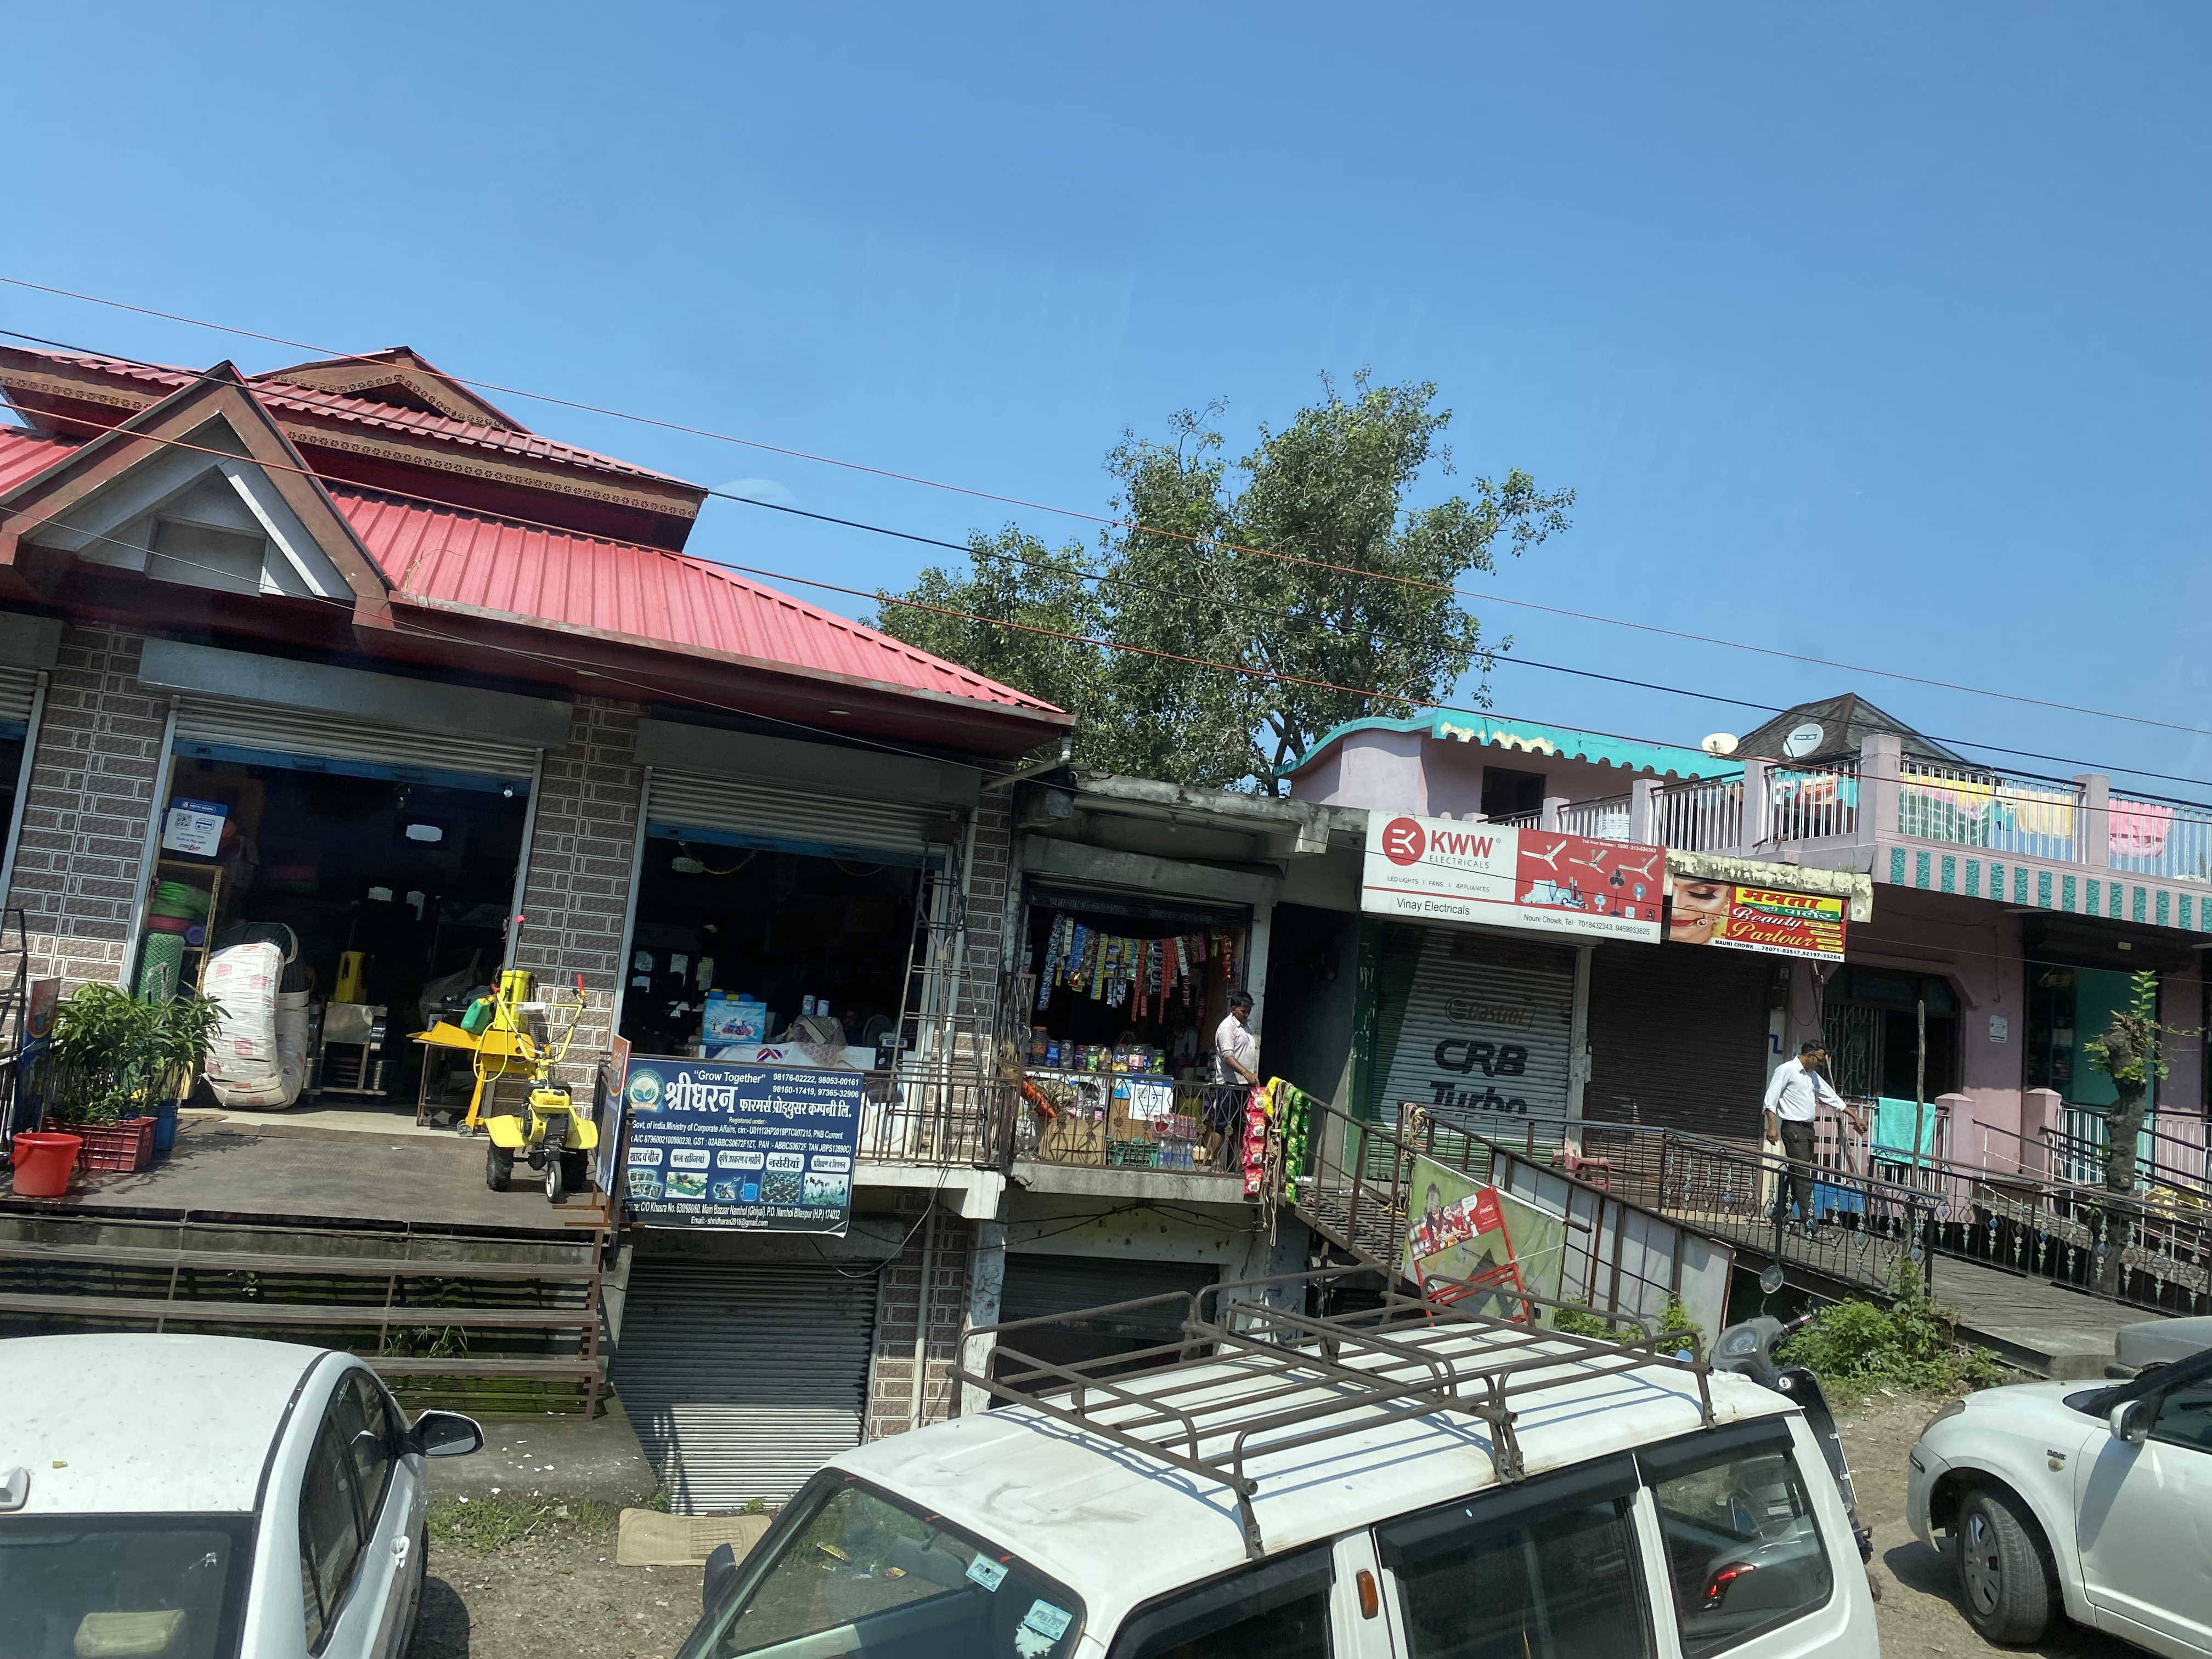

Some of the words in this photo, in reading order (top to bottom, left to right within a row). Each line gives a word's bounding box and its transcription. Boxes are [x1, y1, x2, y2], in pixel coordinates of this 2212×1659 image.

[1427, 828, 1496, 859] KWW
[1427, 851, 1491, 872] ELECTRICALS
[1384, 872, 1401, 885] LED
[1396, 875, 1421, 884] LIGHTS
[1426, 877, 1446, 891] FANS
[1451, 881, 1493, 893] APPLIANCES
[1394, 896, 1426, 913] Vinay
[1420, 897, 1474, 917] Electricals
[1521, 913, 1543, 922] Nounl
[1537, 913, 1565, 928] Chowk,
[1562, 916, 1576, 928] Tel
[1576, 918, 1617, 933] 7018432343,
[1611, 922, 1654, 938] 9459933625
[1431, 1032, 1535, 1080] CRB
[697, 1068, 724, 1083] Grow
[723, 1069, 768, 1086] Together"
[663, 1069, 740, 1114] श्रीधरन
[737, 1093, 772, 1114] फारमर्स
[772, 1093, 809, 1121] प्रोड्युसर
[805, 1098, 838, 1118] कम्पनी
[835, 1098, 853, 1118] लि.
[1428, 1080, 1533, 1114] Turbo
[631, 1133, 645, 1144] A/C
[631, 1118, 647, 1133] Govt,
[645, 1119, 653, 1131] of
[650, 1120, 667, 1130] india.
[642, 1133, 693, 1147] 8796002100000230,
[664, 1120, 688, 1134] Ministry
[685, 1121, 696, 1133] of
[692, 1136, 707, 1147] GST
[691, 1122, 720, 1136] केशन्अर्मर।
[717, 1122, 737, 1135] Affairs,
[706, 1136, 757, 1150] 02ABBCS0672F1ZT,
[726, 1115, 753, 1127] Registered
[735, 1125, 749, 1135] cin:-
[751, 1118, 769, 1126] under
[758, 1138, 771, 1150] PAN
[748, 1125, 813, 1140] U01113HP2018PTC007215,
[773, 1141, 808, 1152] ABBCS0672F
[807, 1142, 821, 1153] TAN
[811, 1128, 826, 1140] PNB
[822, 1129, 844, 1142] Current
[817, 1142, 852, 1156] JBPS13890C)
[629, 1151, 644, 1163] खाद
[639, 1152, 649, 1163] व
[646, 1148, 661, 1165] बीज
[672, 1154, 685, 1164] फल
[683, 1152, 707, 1164] सब्जियां
[718, 1151, 729, 1166] कृषि
[727, 1153, 746, 1165] उपकरण
[742, 1155, 750, 1164] व
[747, 1153, 763, 1166] मशीने
[768, 1155, 800, 1170] नर्सरीयां
[811, 1155, 830, 1169] प्रशिक्षण
[827, 1159, 833, 1169] व
[828, 1158, 848, 1170] विपणन
[637, 1200, 651, 1214] CIO
[649, 1200, 669, 1214] Khasra
[667, 1200, 678, 1214] No.
[675, 1202, 702, 1216] 630/680/60
[701, 1202, 714, 1216] Main
[713, 1203, 731, 1216] Bazaar
[729, 1204, 749, 1217] Namhol
[748, 1204, 767, 1220] Ghiyaji
[765, 1204, 777, 1218] P.O.
[775, 1204, 795, 1220] Namhol
[793, 1206, 814, 1221] Bilaspur
[811, 1207, 827, 1223] (H.P.)1
[823, 1209, 842, 1222] 174032
[690, 1215, 771, 1231] Email:-shridharan2018@gmail.com